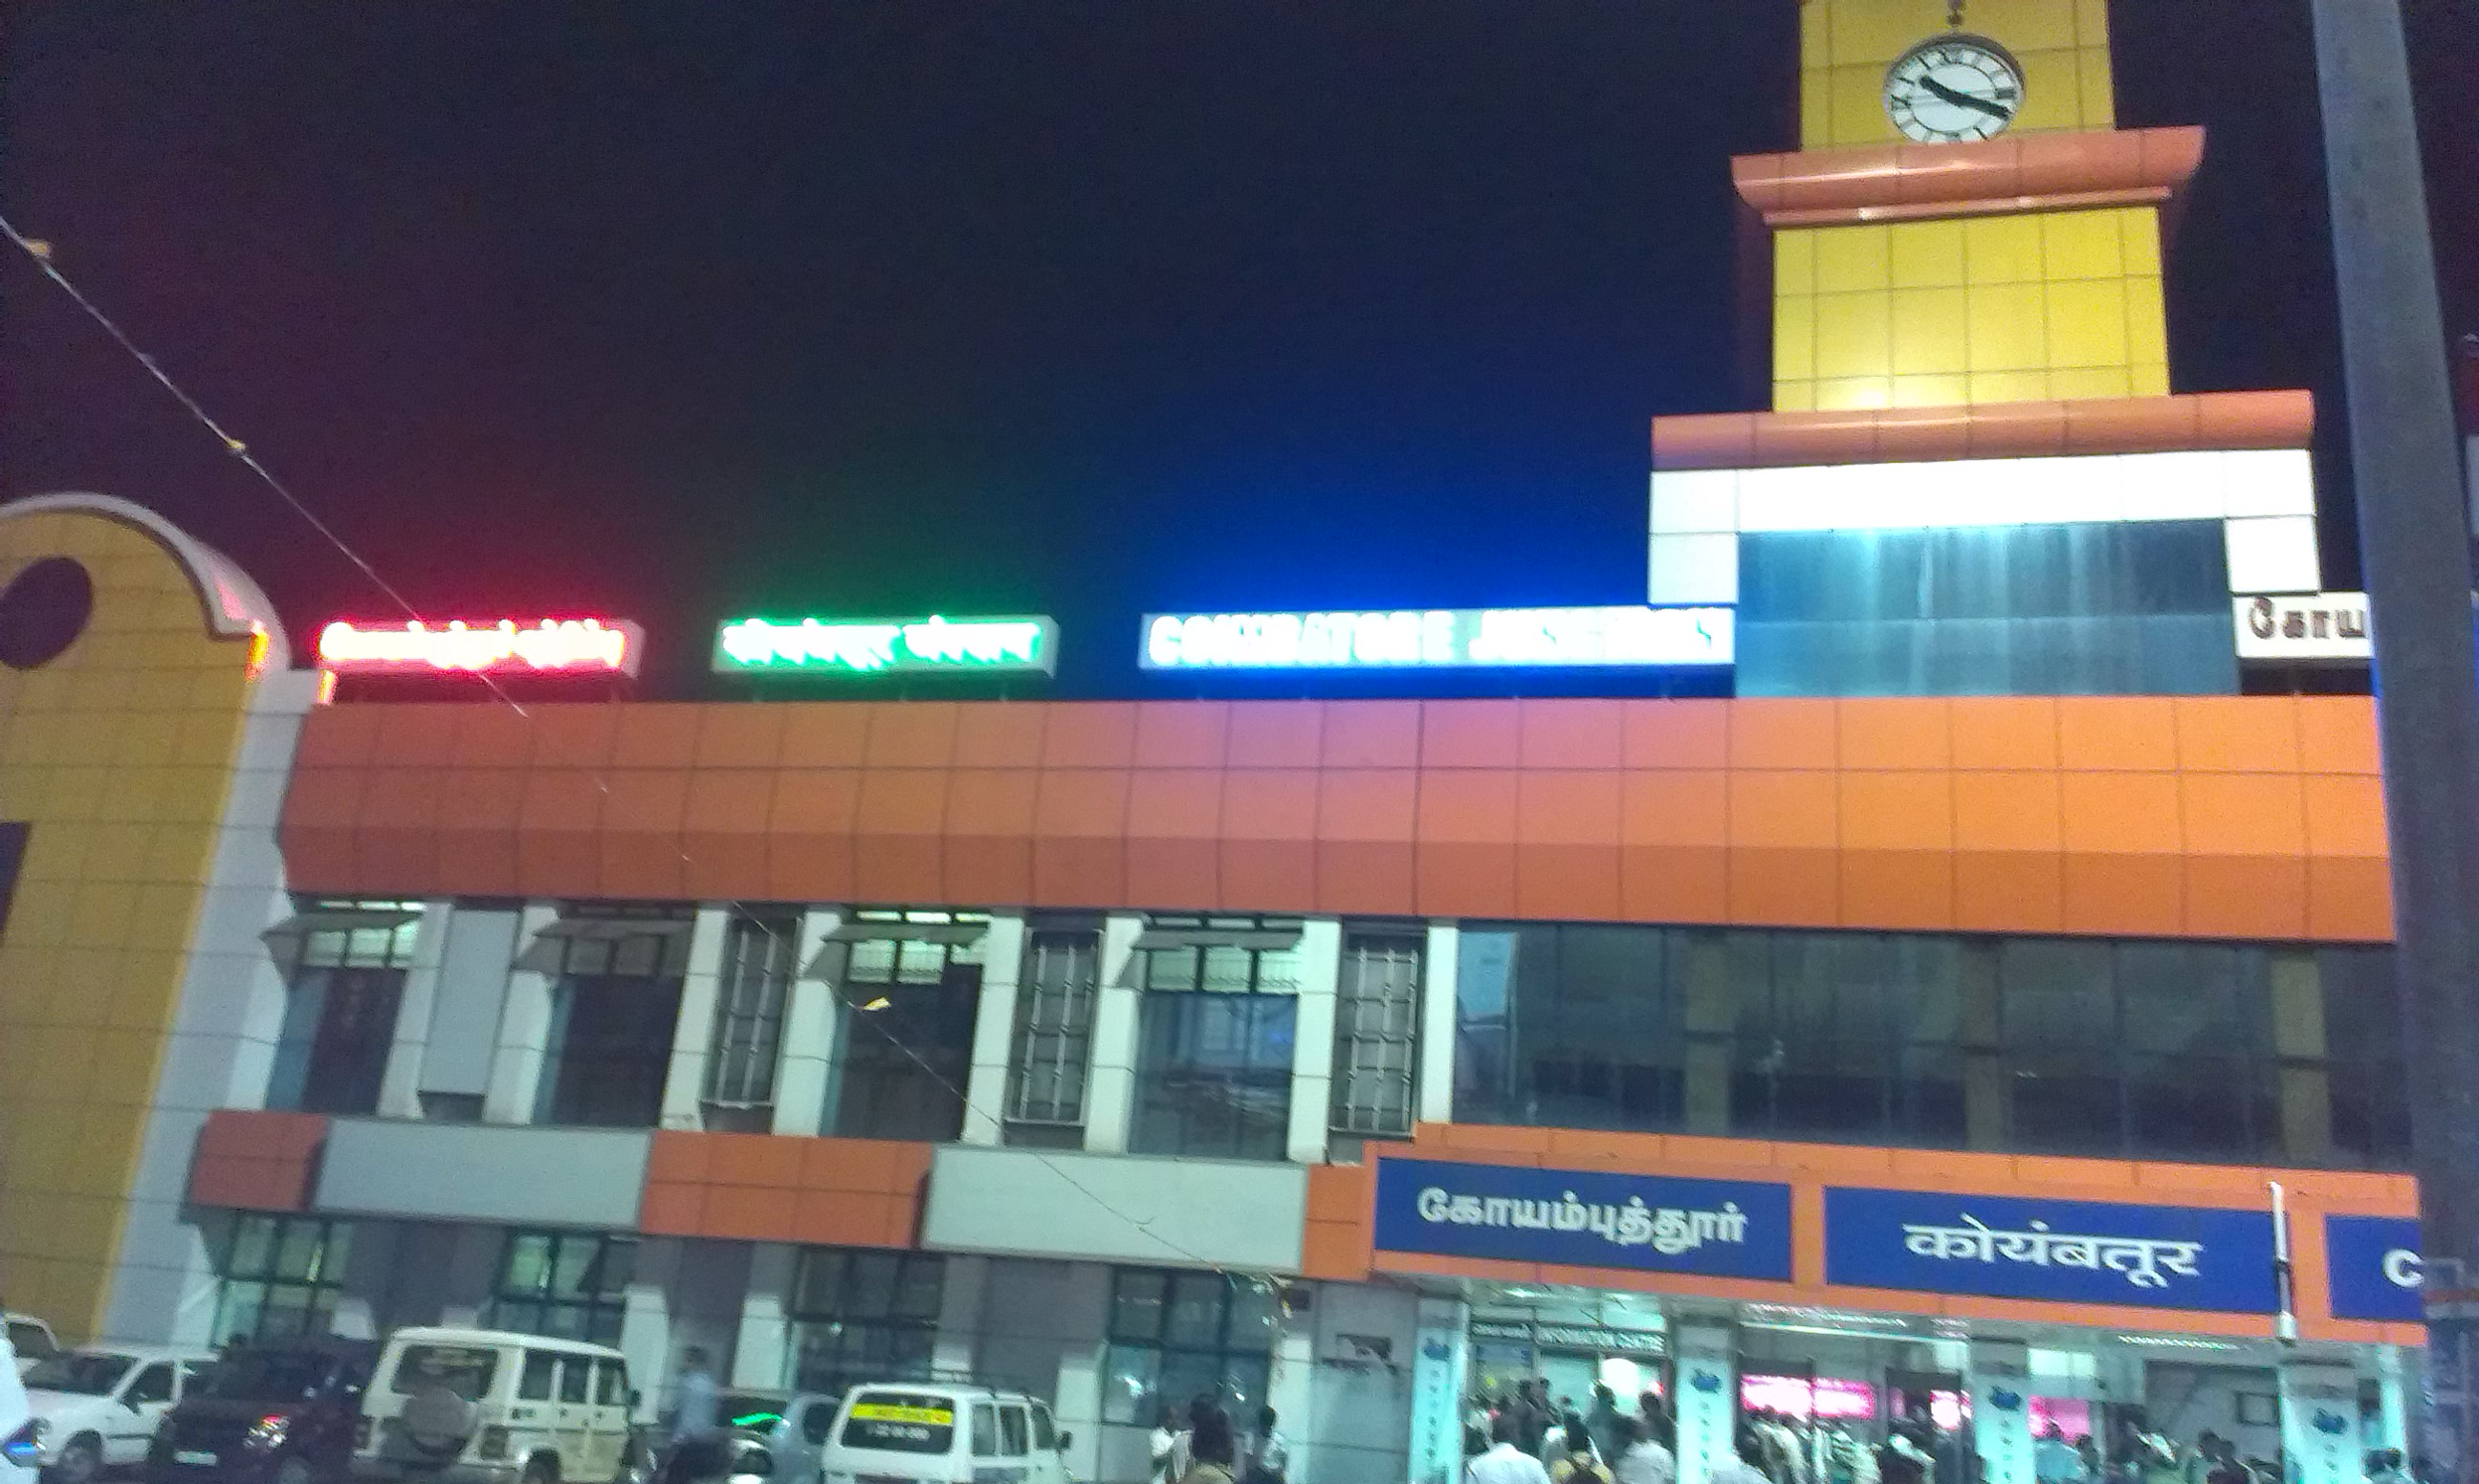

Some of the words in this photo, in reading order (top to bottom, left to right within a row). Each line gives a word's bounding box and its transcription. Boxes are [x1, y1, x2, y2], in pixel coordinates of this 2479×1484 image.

[2239, 593, 2368, 649] கோய
[1399, 1180, 1758, 1273] கோயம்புத்தூர்
[1895, 1202, 2210, 1296] कोयंबतूर